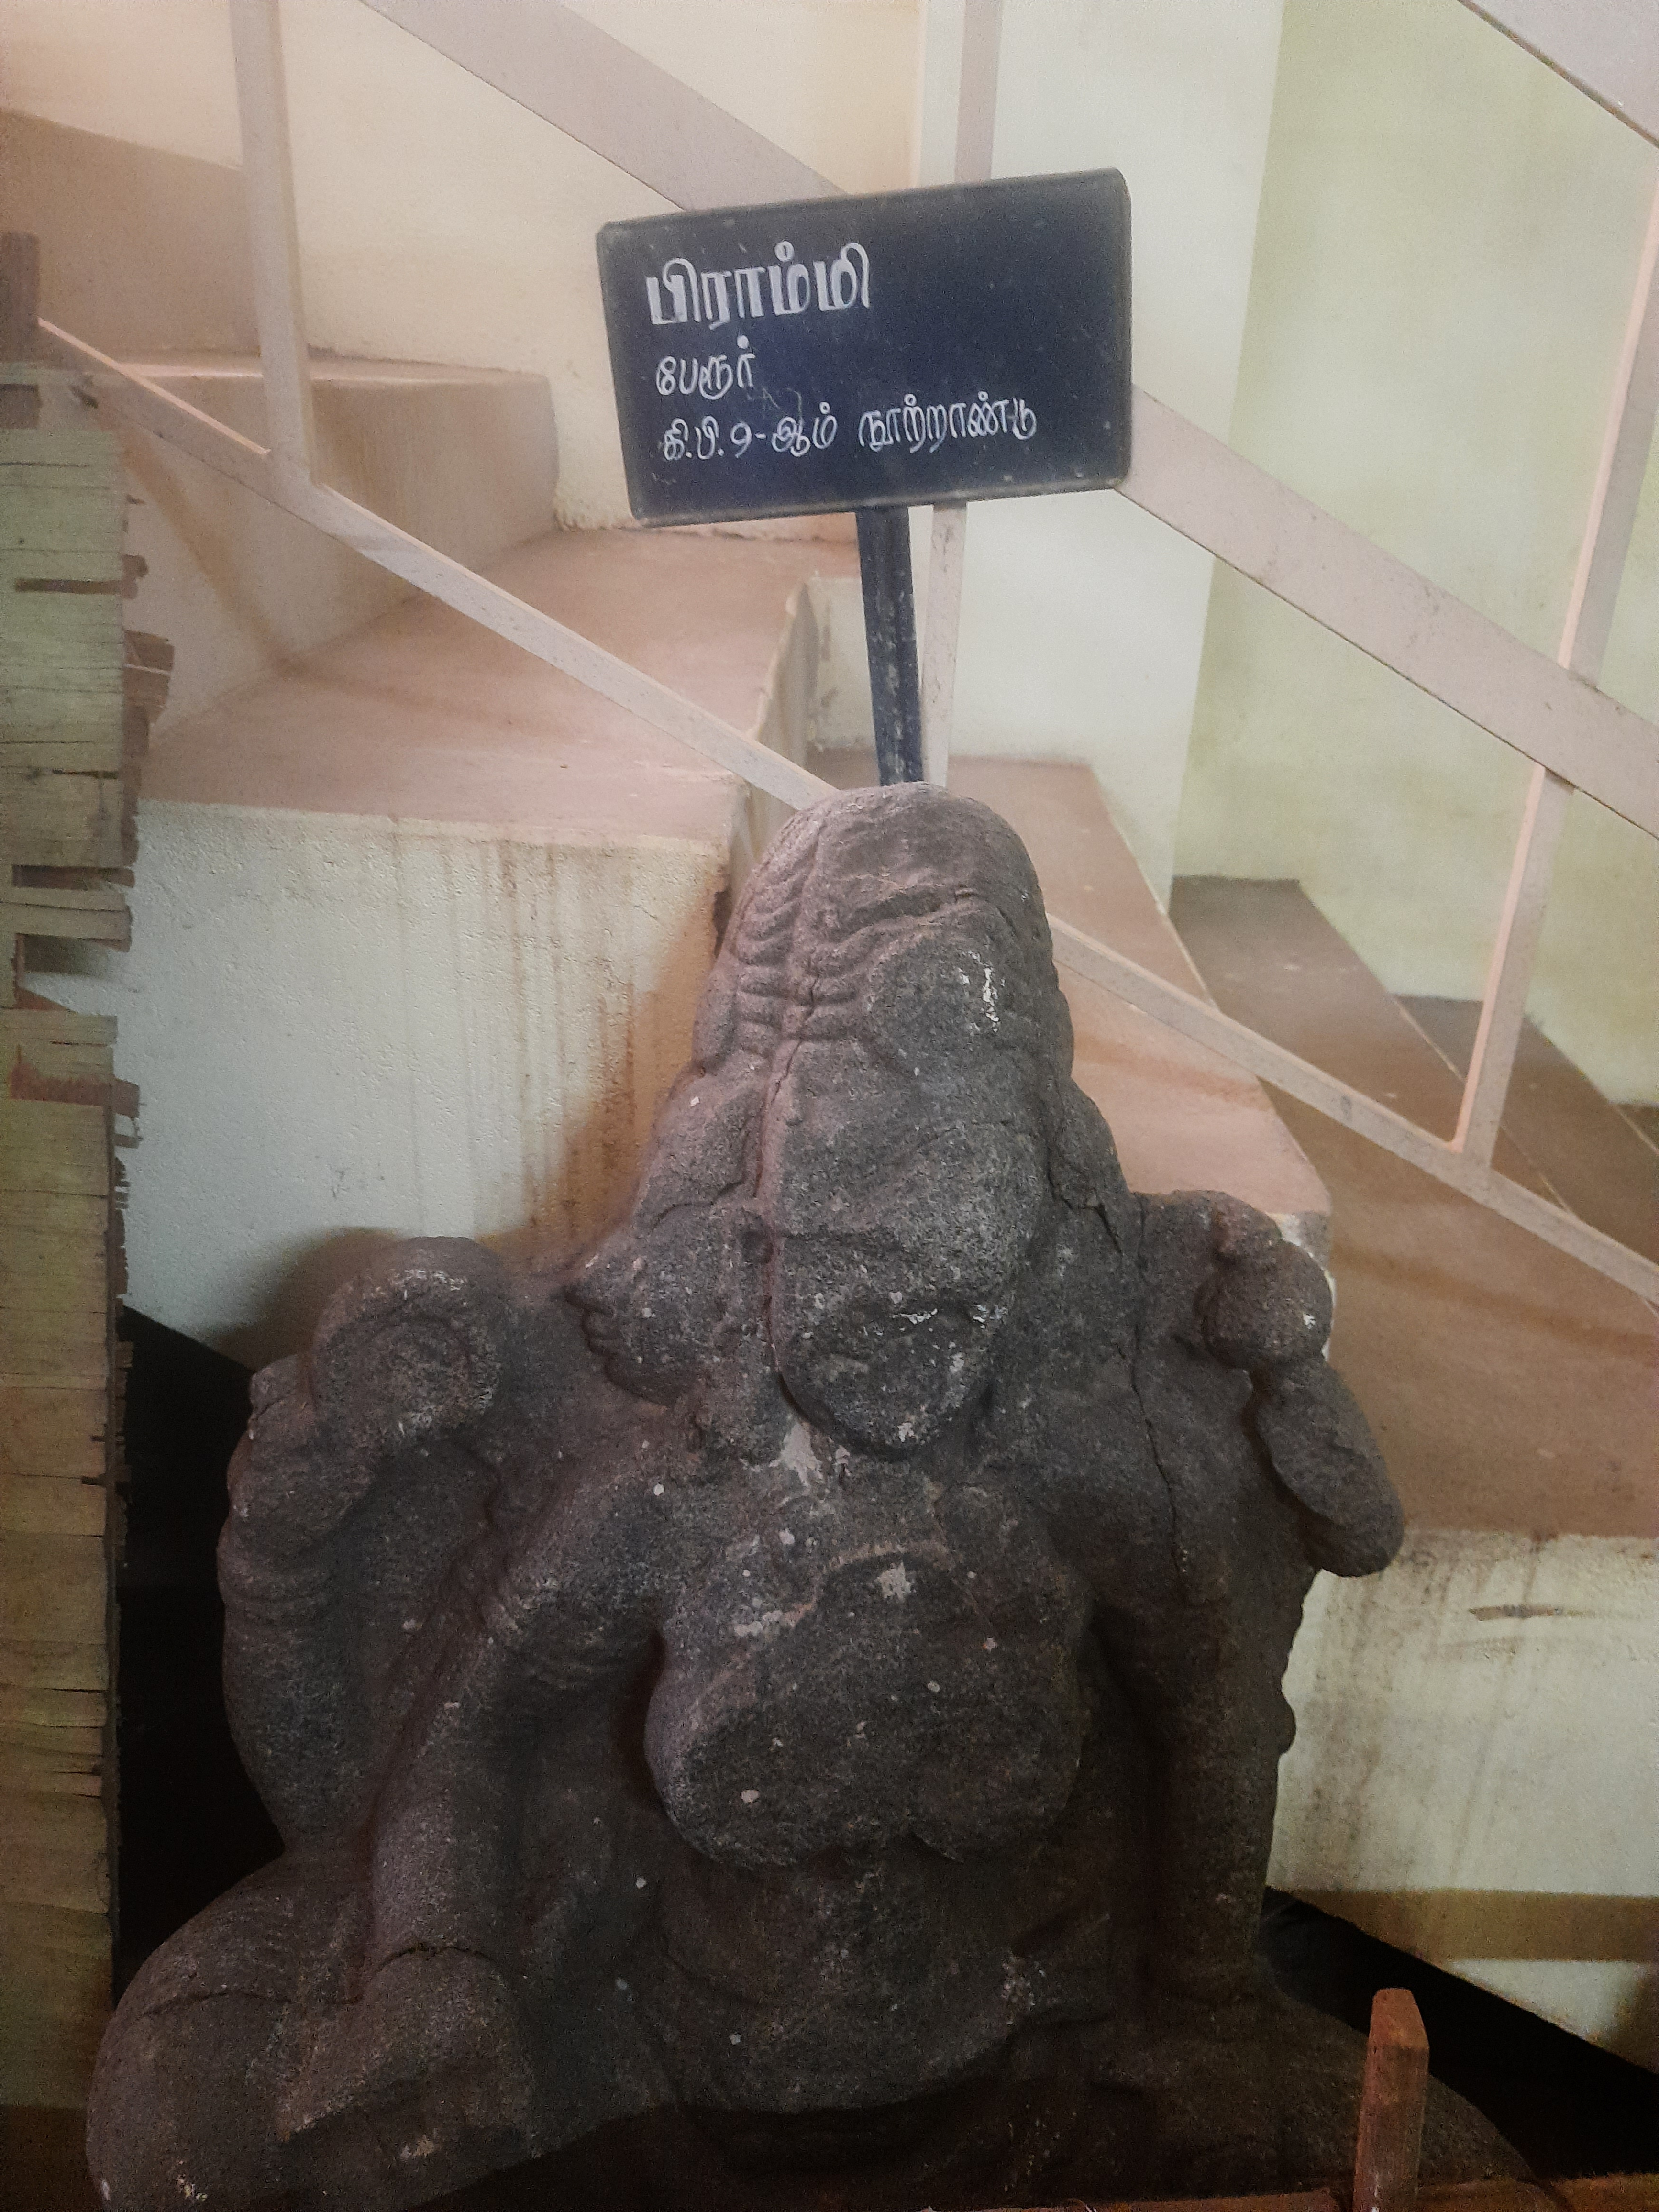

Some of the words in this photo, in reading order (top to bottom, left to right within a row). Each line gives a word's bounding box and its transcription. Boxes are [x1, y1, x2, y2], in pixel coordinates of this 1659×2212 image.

[641, 236, 872, 337] பிராம்மி
[652, 329, 762, 409] பேரூா்
[655, 410, 754, 464] கி.பி.9
[767, 397, 844, 466] ஆம்
[851, 382, 1047, 459] நூற்றாண்டு